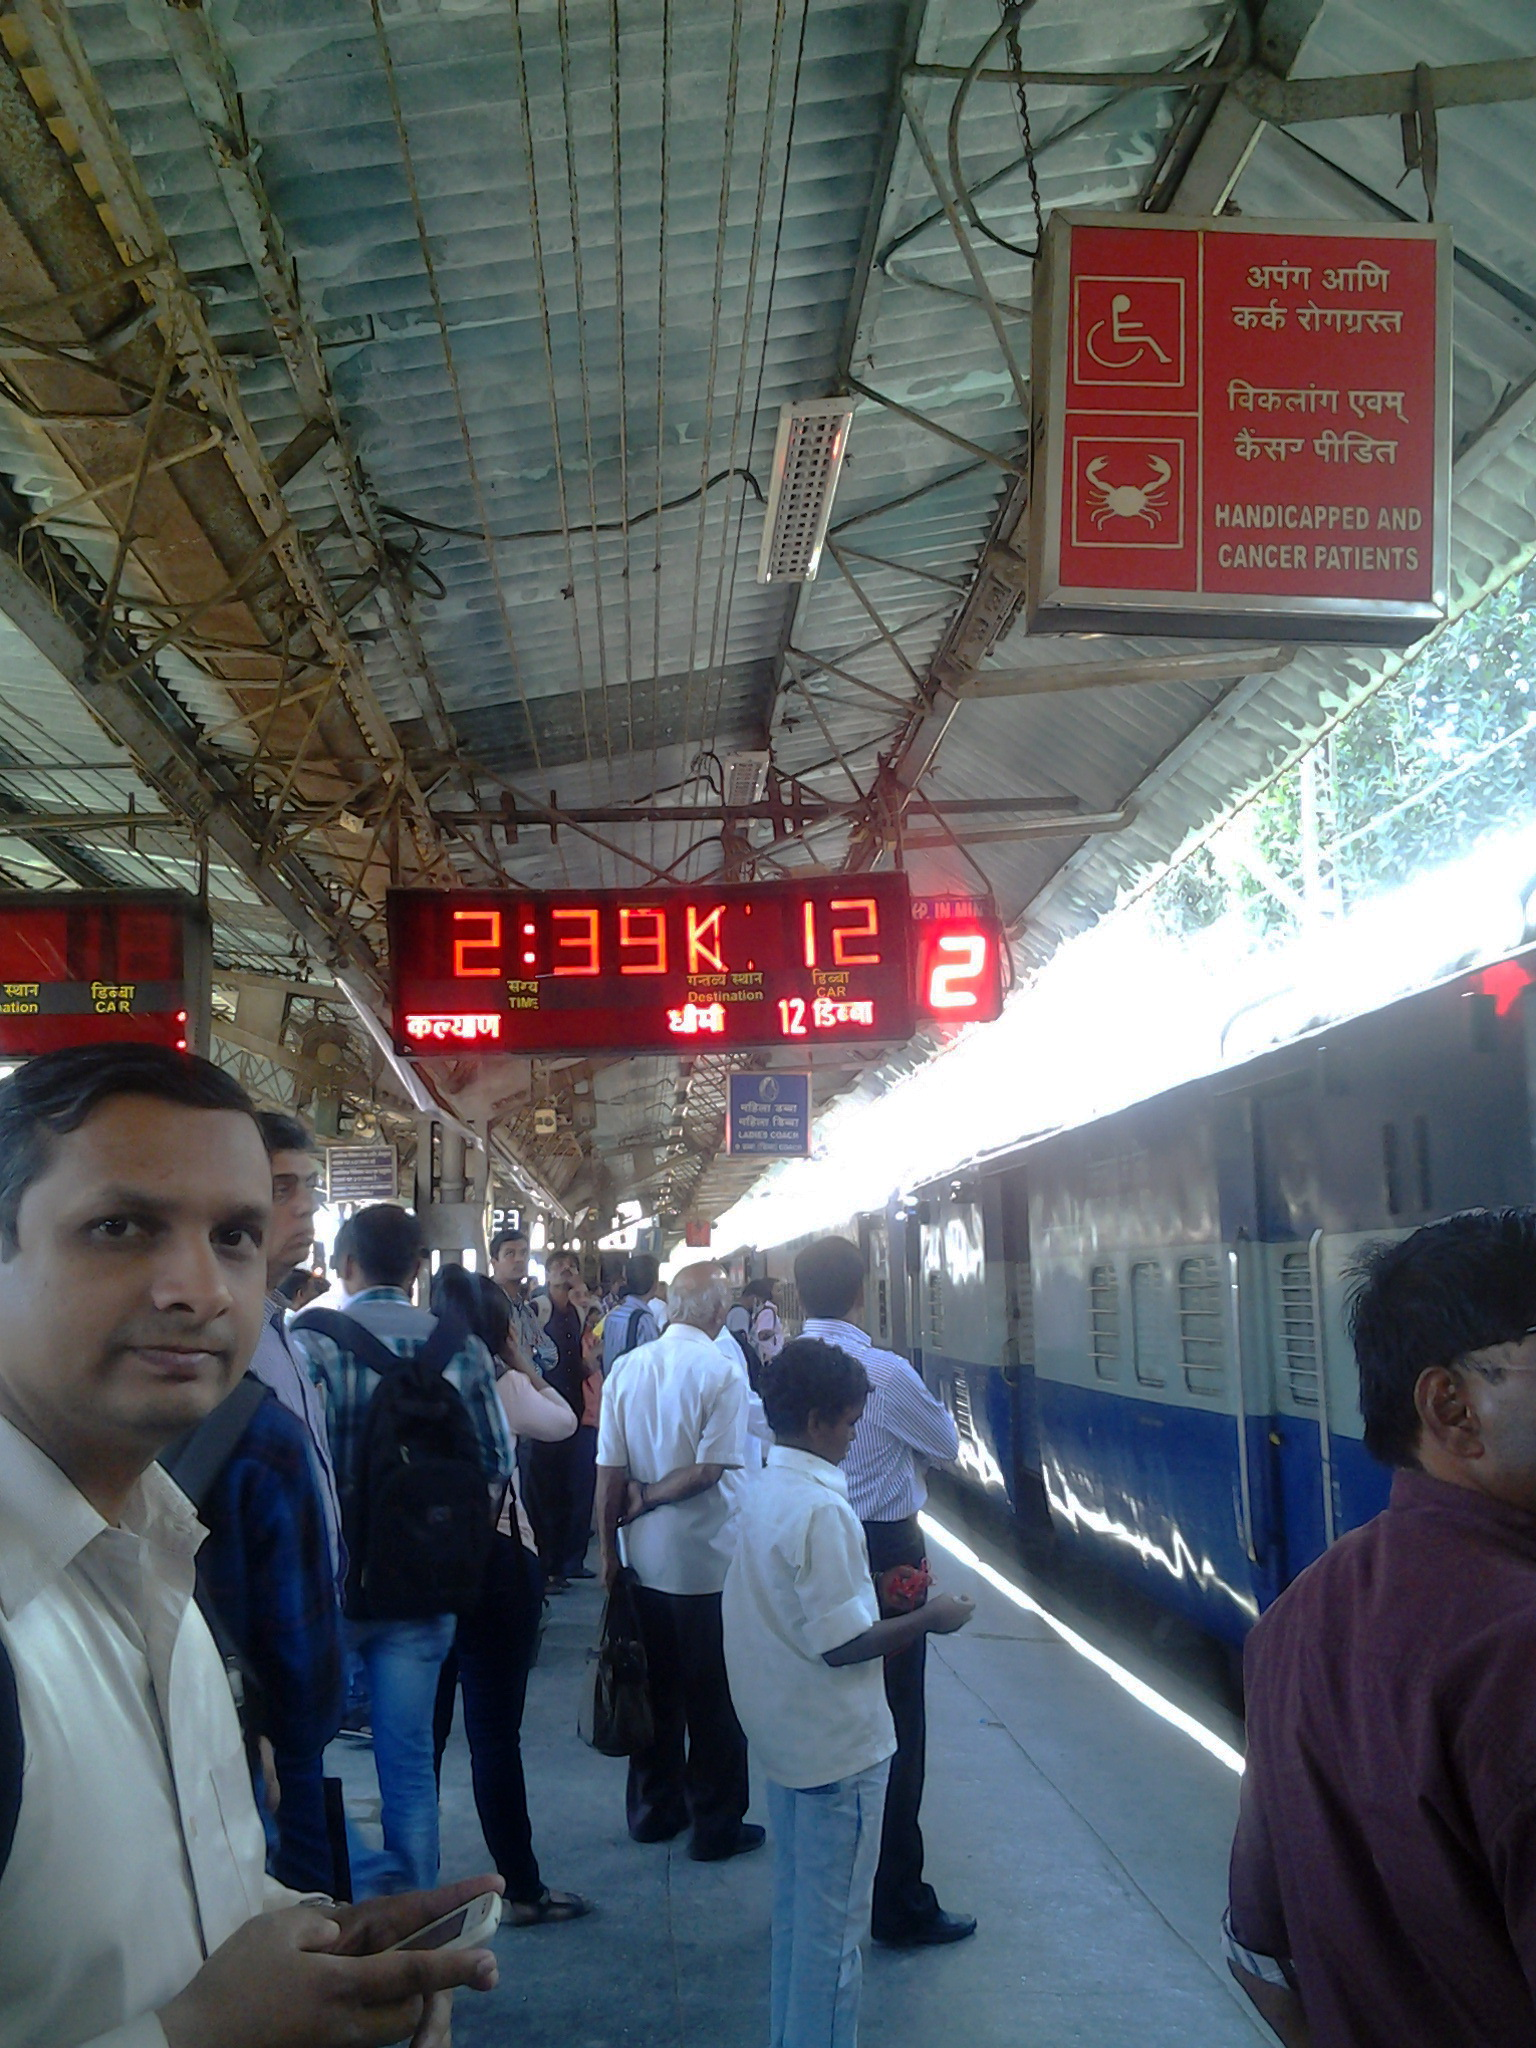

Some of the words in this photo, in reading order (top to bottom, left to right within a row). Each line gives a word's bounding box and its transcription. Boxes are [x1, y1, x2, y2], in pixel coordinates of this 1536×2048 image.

[1237, 255, 1316, 297] अपंग
[1319, 254, 1396, 298] आणि
[1221, 293, 1295, 338] कर्क
[1292, 295, 1410, 343] रोगग्रस्त
[1221, 371, 1347, 420] विकलांग
[1343, 387, 1415, 430] एवम्
[1228, 421, 1309, 475] कैंसर
[1309, 425, 1404, 472] पीडित
[1212, 501, 1372, 536] HANDICAPPED
[1372, 502, 1425, 536] AND
[1212, 540, 1313, 574] CANCER
[1309, 541, 1423, 572] PATIENTS
[445, 902, 674, 979] 2:39
[681, 894, 733, 975] K
[797, 889, 888, 969] 12
[1, 982, 45, 999] स्थान
[83, 979, 139, 1001] डिब्‍बा
[88, 999, 135, 1014] CAR
[398, 1008, 505, 1047] कल्याण
[501, 995, 544, 1015] TIME
[658, 1001, 733, 1040] धीमी
[683, 973, 730, 990] गन्तव्य
[685, 987, 769, 1003] Destination
[729, 969, 769, 988] स्थान
[773, 993, 813, 1041] 12
[807, 967, 856, 987] डिब्बा
[813, 985, 851, 997] CAR
[809, 995, 879, 1035] डिब्बा
[919, 930, 997, 1014] 2